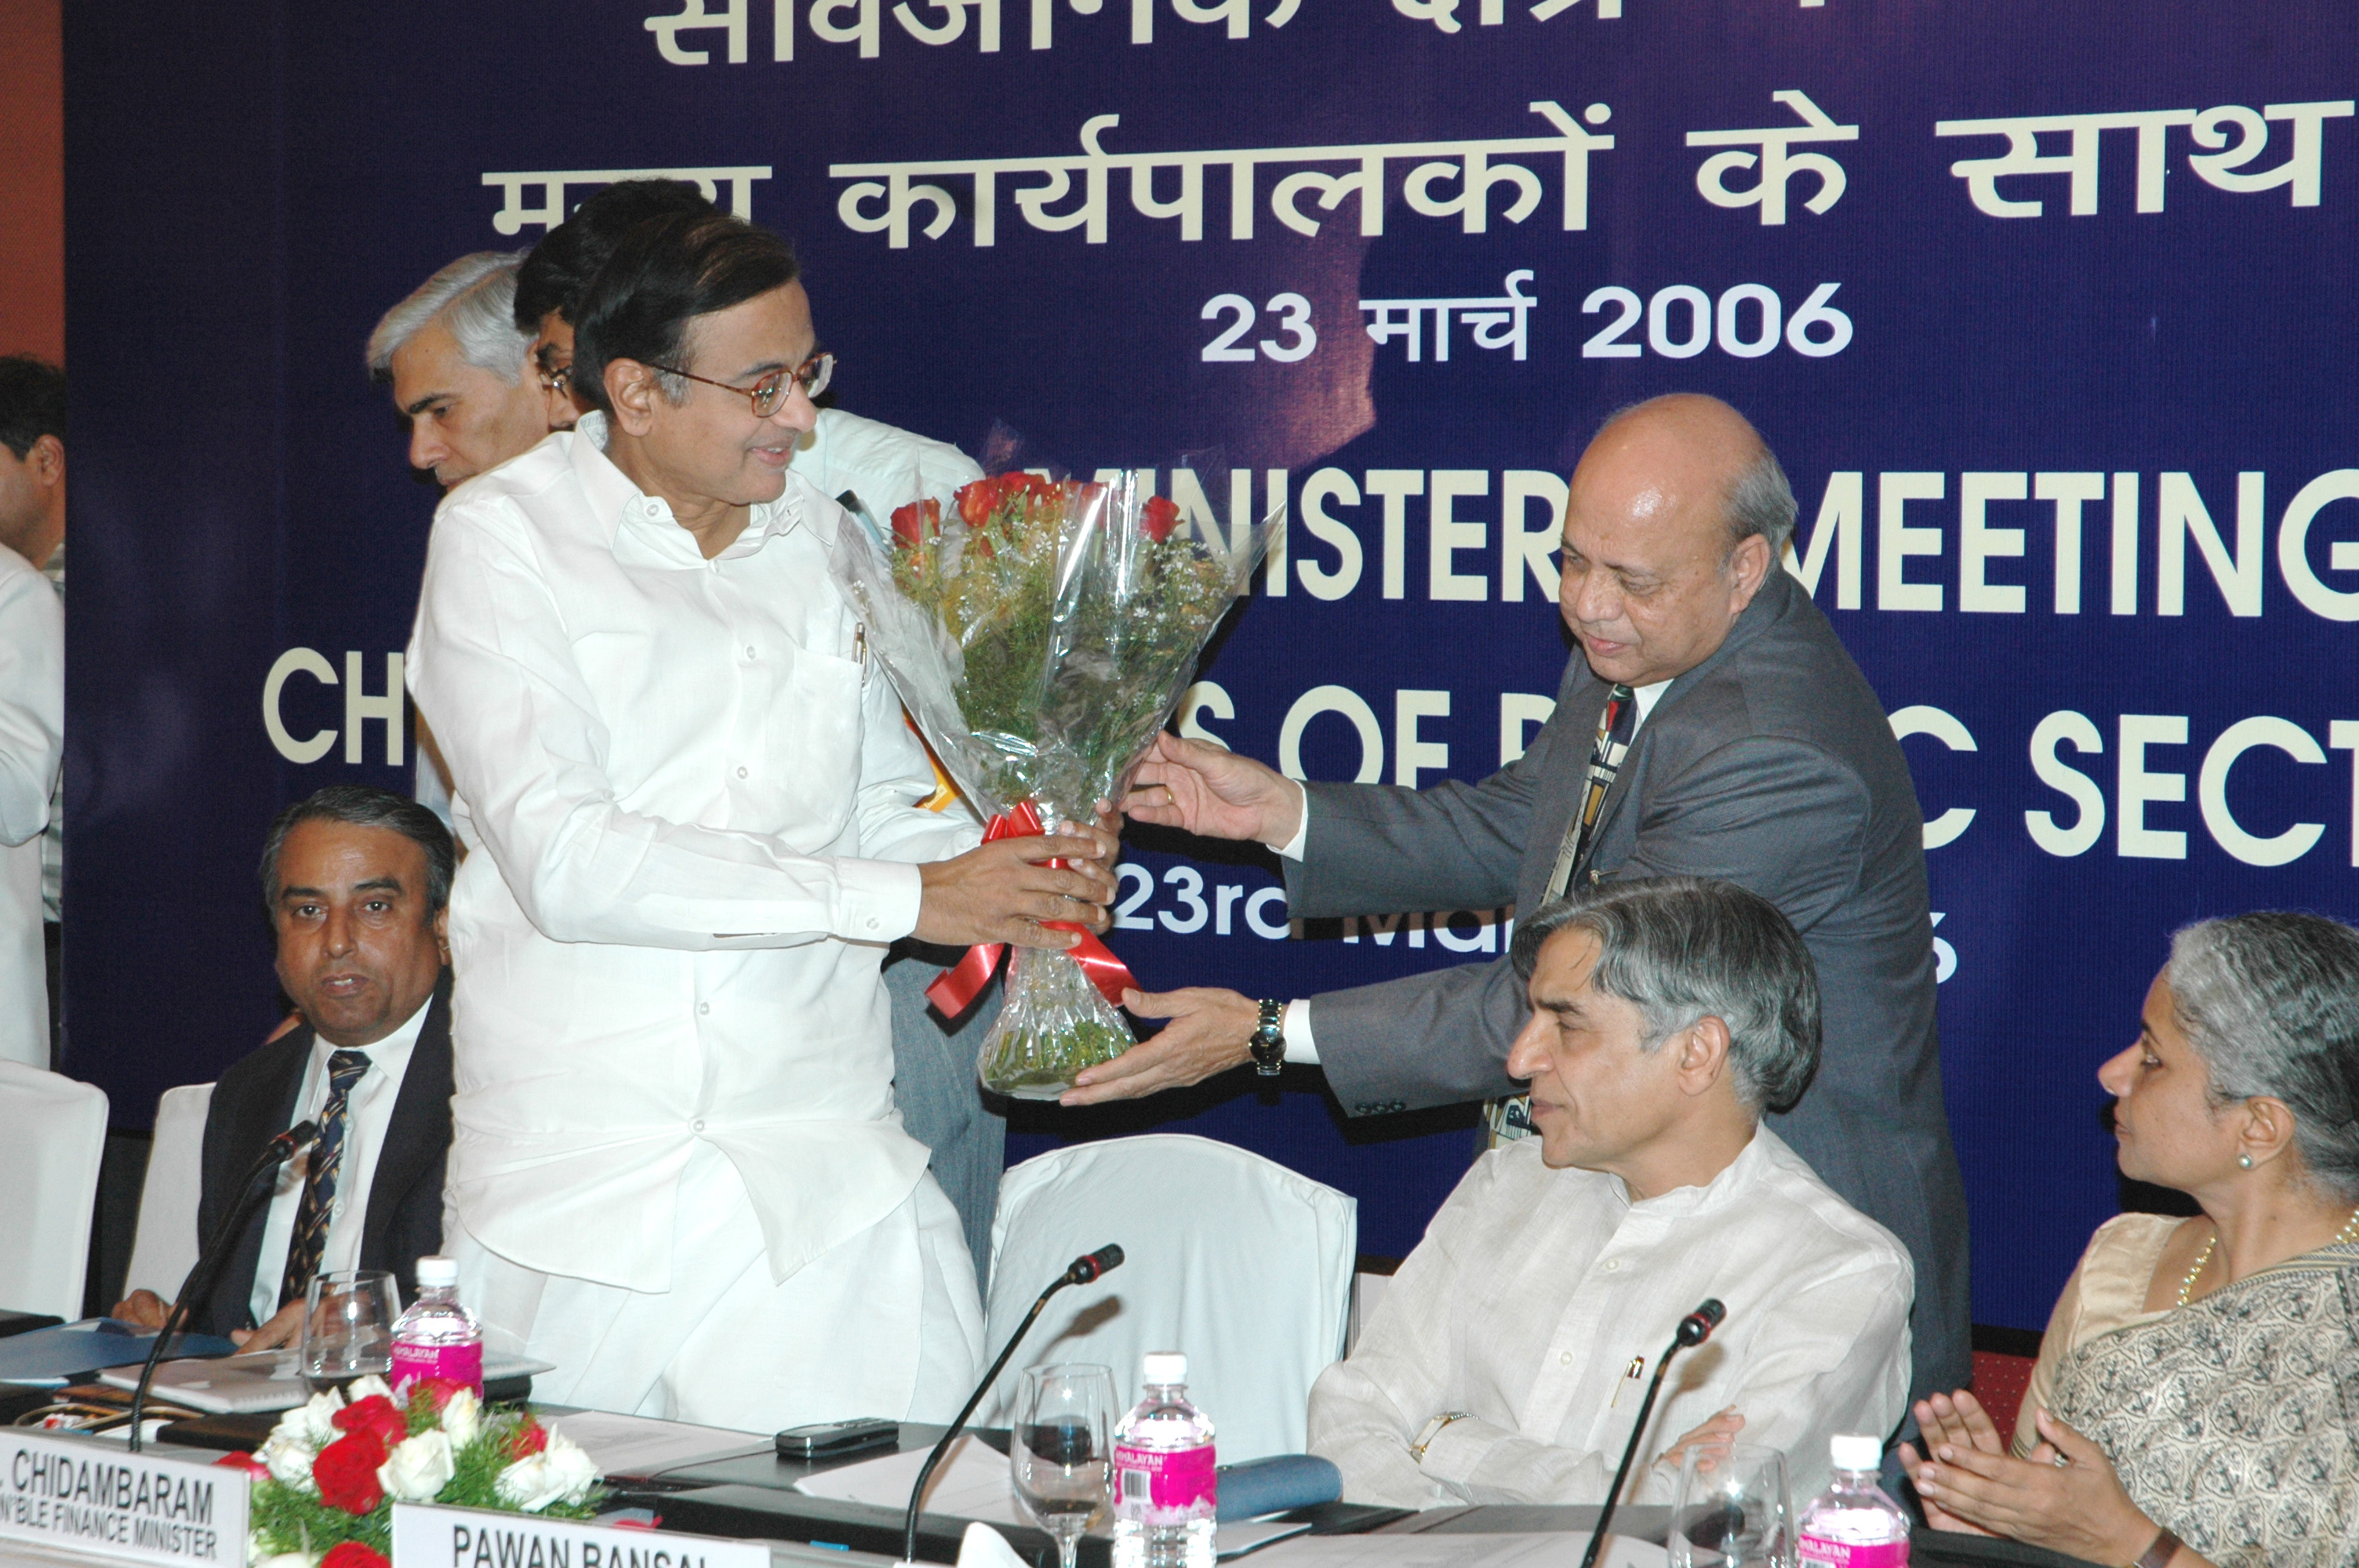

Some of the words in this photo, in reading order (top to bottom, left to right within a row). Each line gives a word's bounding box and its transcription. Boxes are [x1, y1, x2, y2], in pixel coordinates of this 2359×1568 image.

[825, 95, 1619, 254] कार्यपालकों
[1929, 96, 2358, 234] साथ
[1183, 277, 1325, 377] 23
[1353, 260, 1539, 374] मार्च
[1578, 273, 1856, 366] 2006
[1038, 459, 1587, 615] NISTER
[1777, 456, 2355, 626] EETING
[253, 633, 419, 780] CH
[1270, 677, 1466, 799] OF
[2014, 695, 2343, 880] SEC
[1102, 856, 1299, 944] 23rc
[42, 1494, 133, 1551] FINANCE
[3, 1440, 220, 1527] CHIDAMBARAM
[129, 1512, 222, 1562] MINISTER